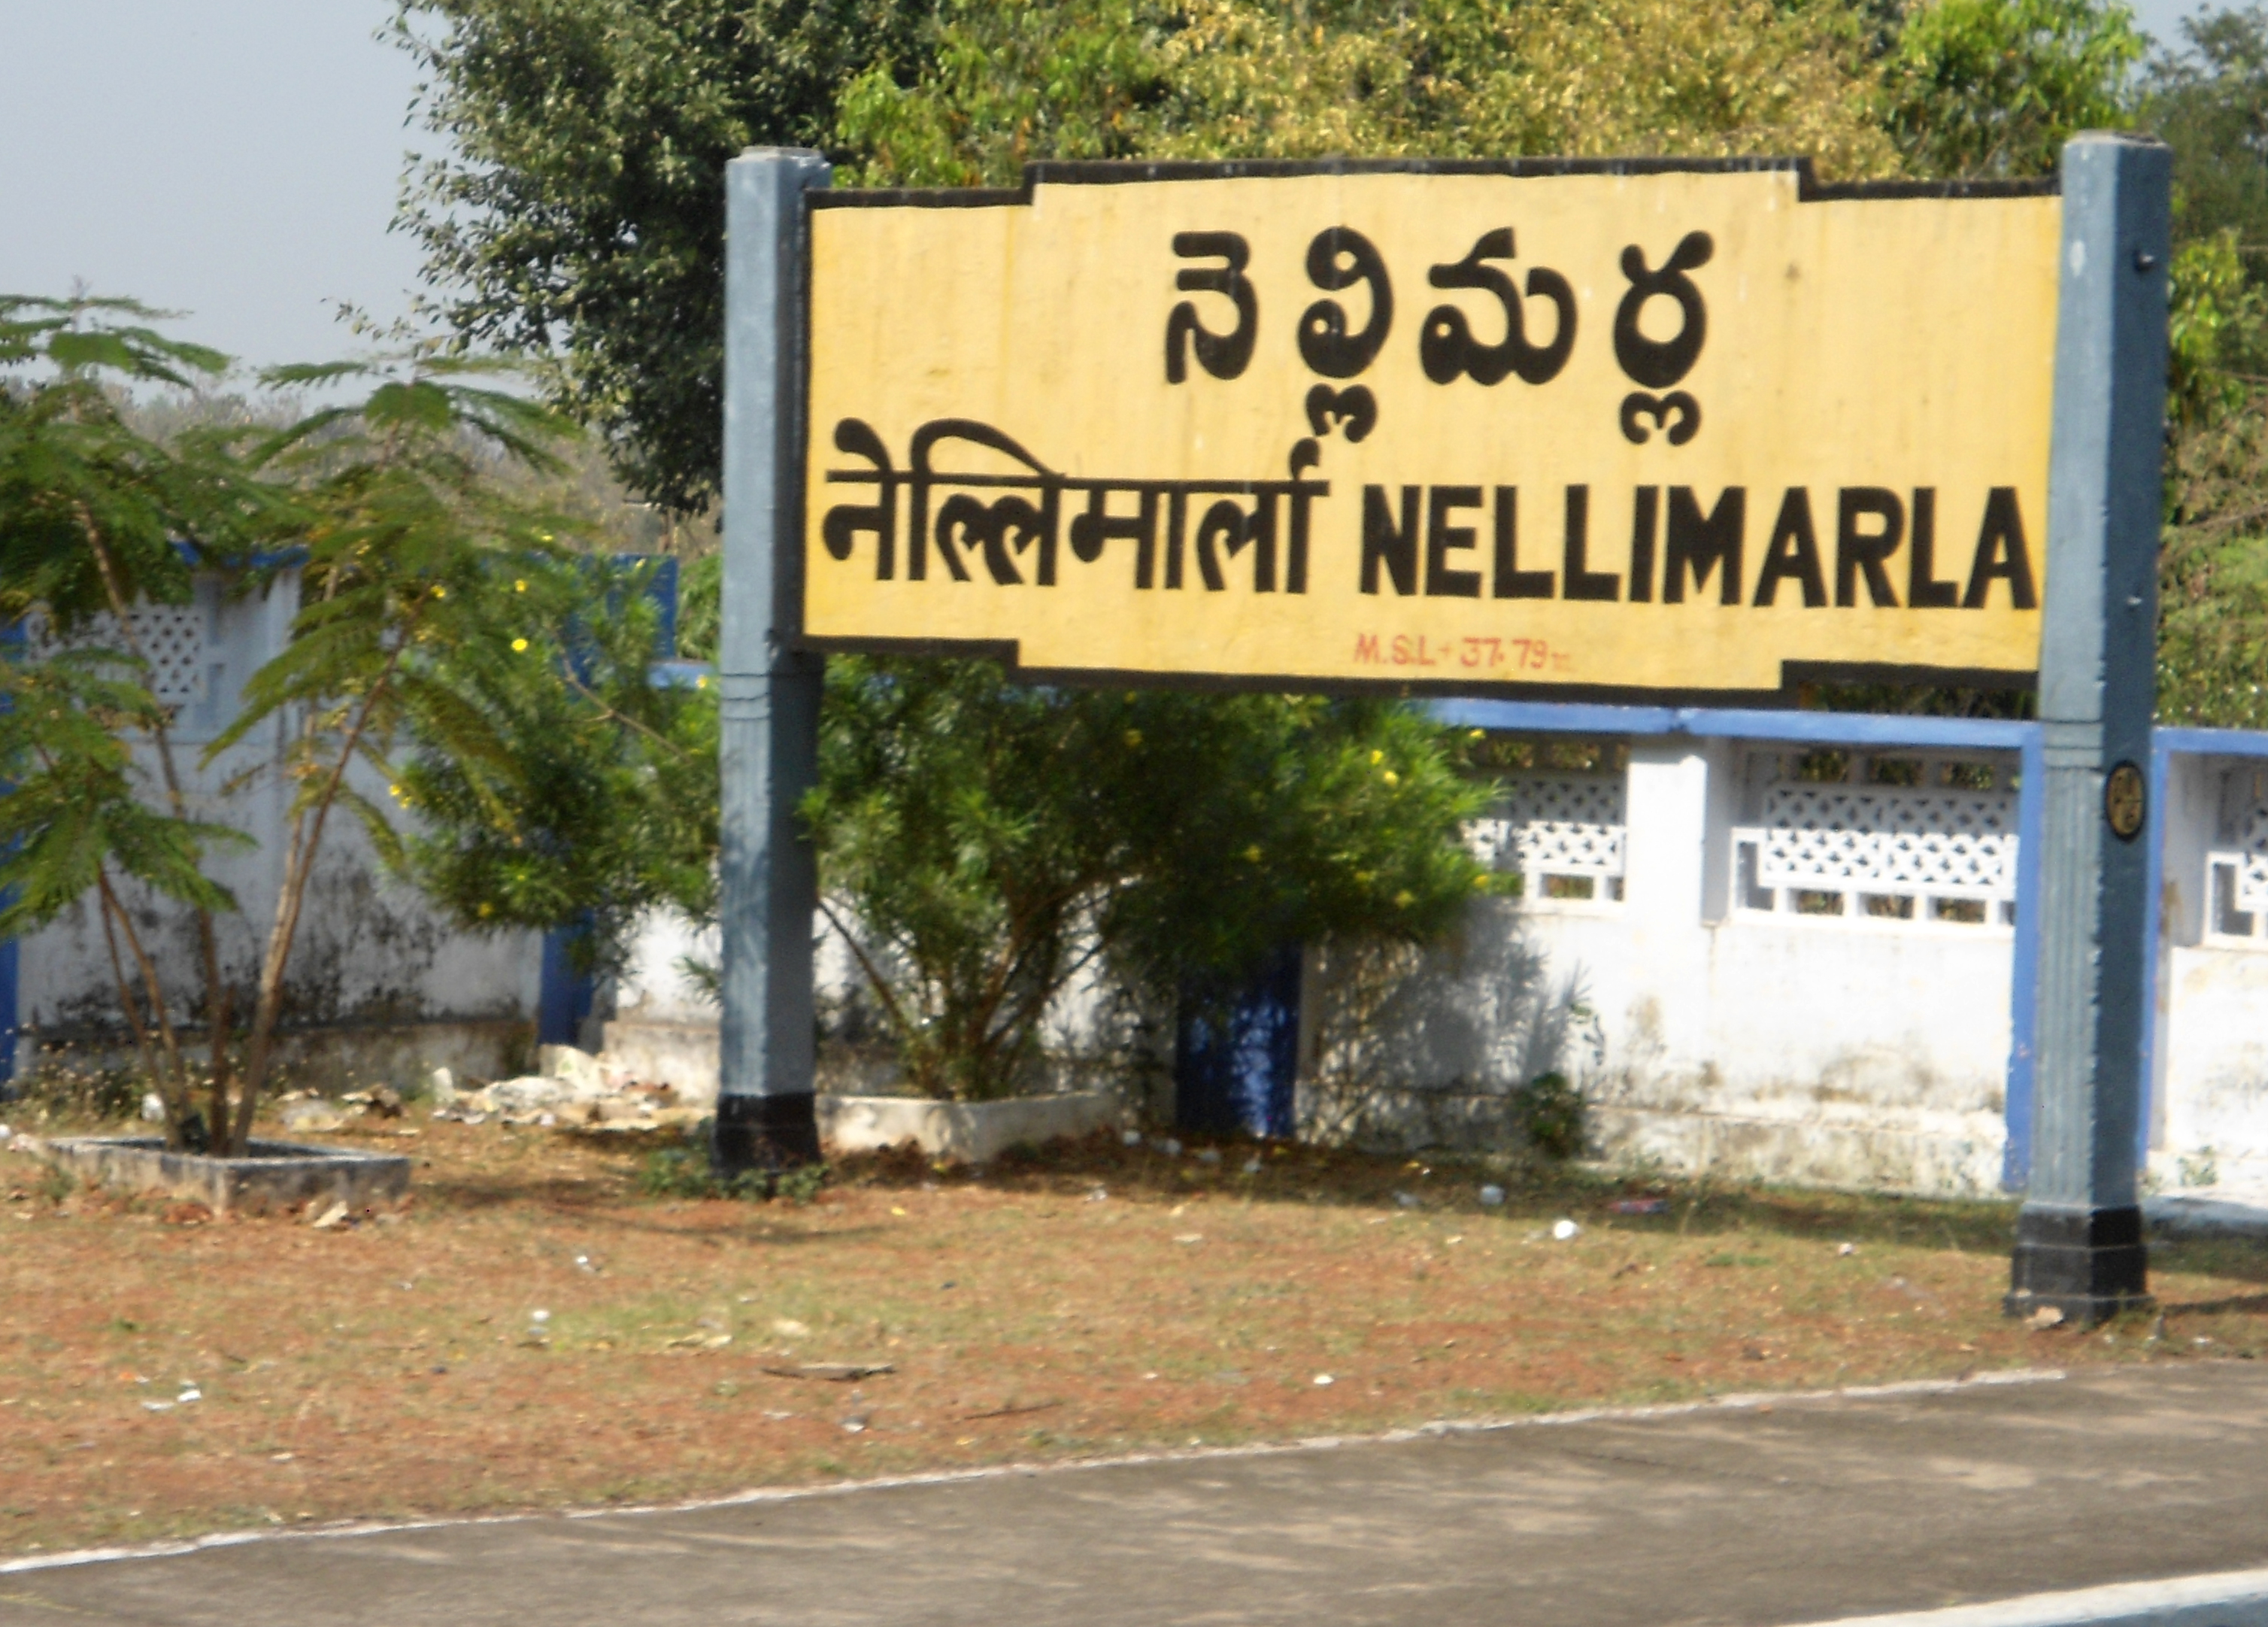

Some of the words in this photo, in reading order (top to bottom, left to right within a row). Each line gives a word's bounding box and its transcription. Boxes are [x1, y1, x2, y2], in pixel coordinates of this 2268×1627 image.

[1164, 214, 1728, 456] నెల్లిమర్ల
[802, 402, 1345, 600] नेल्लिमार्ला
[1349, 480, 2041, 618] NELLIMARLA